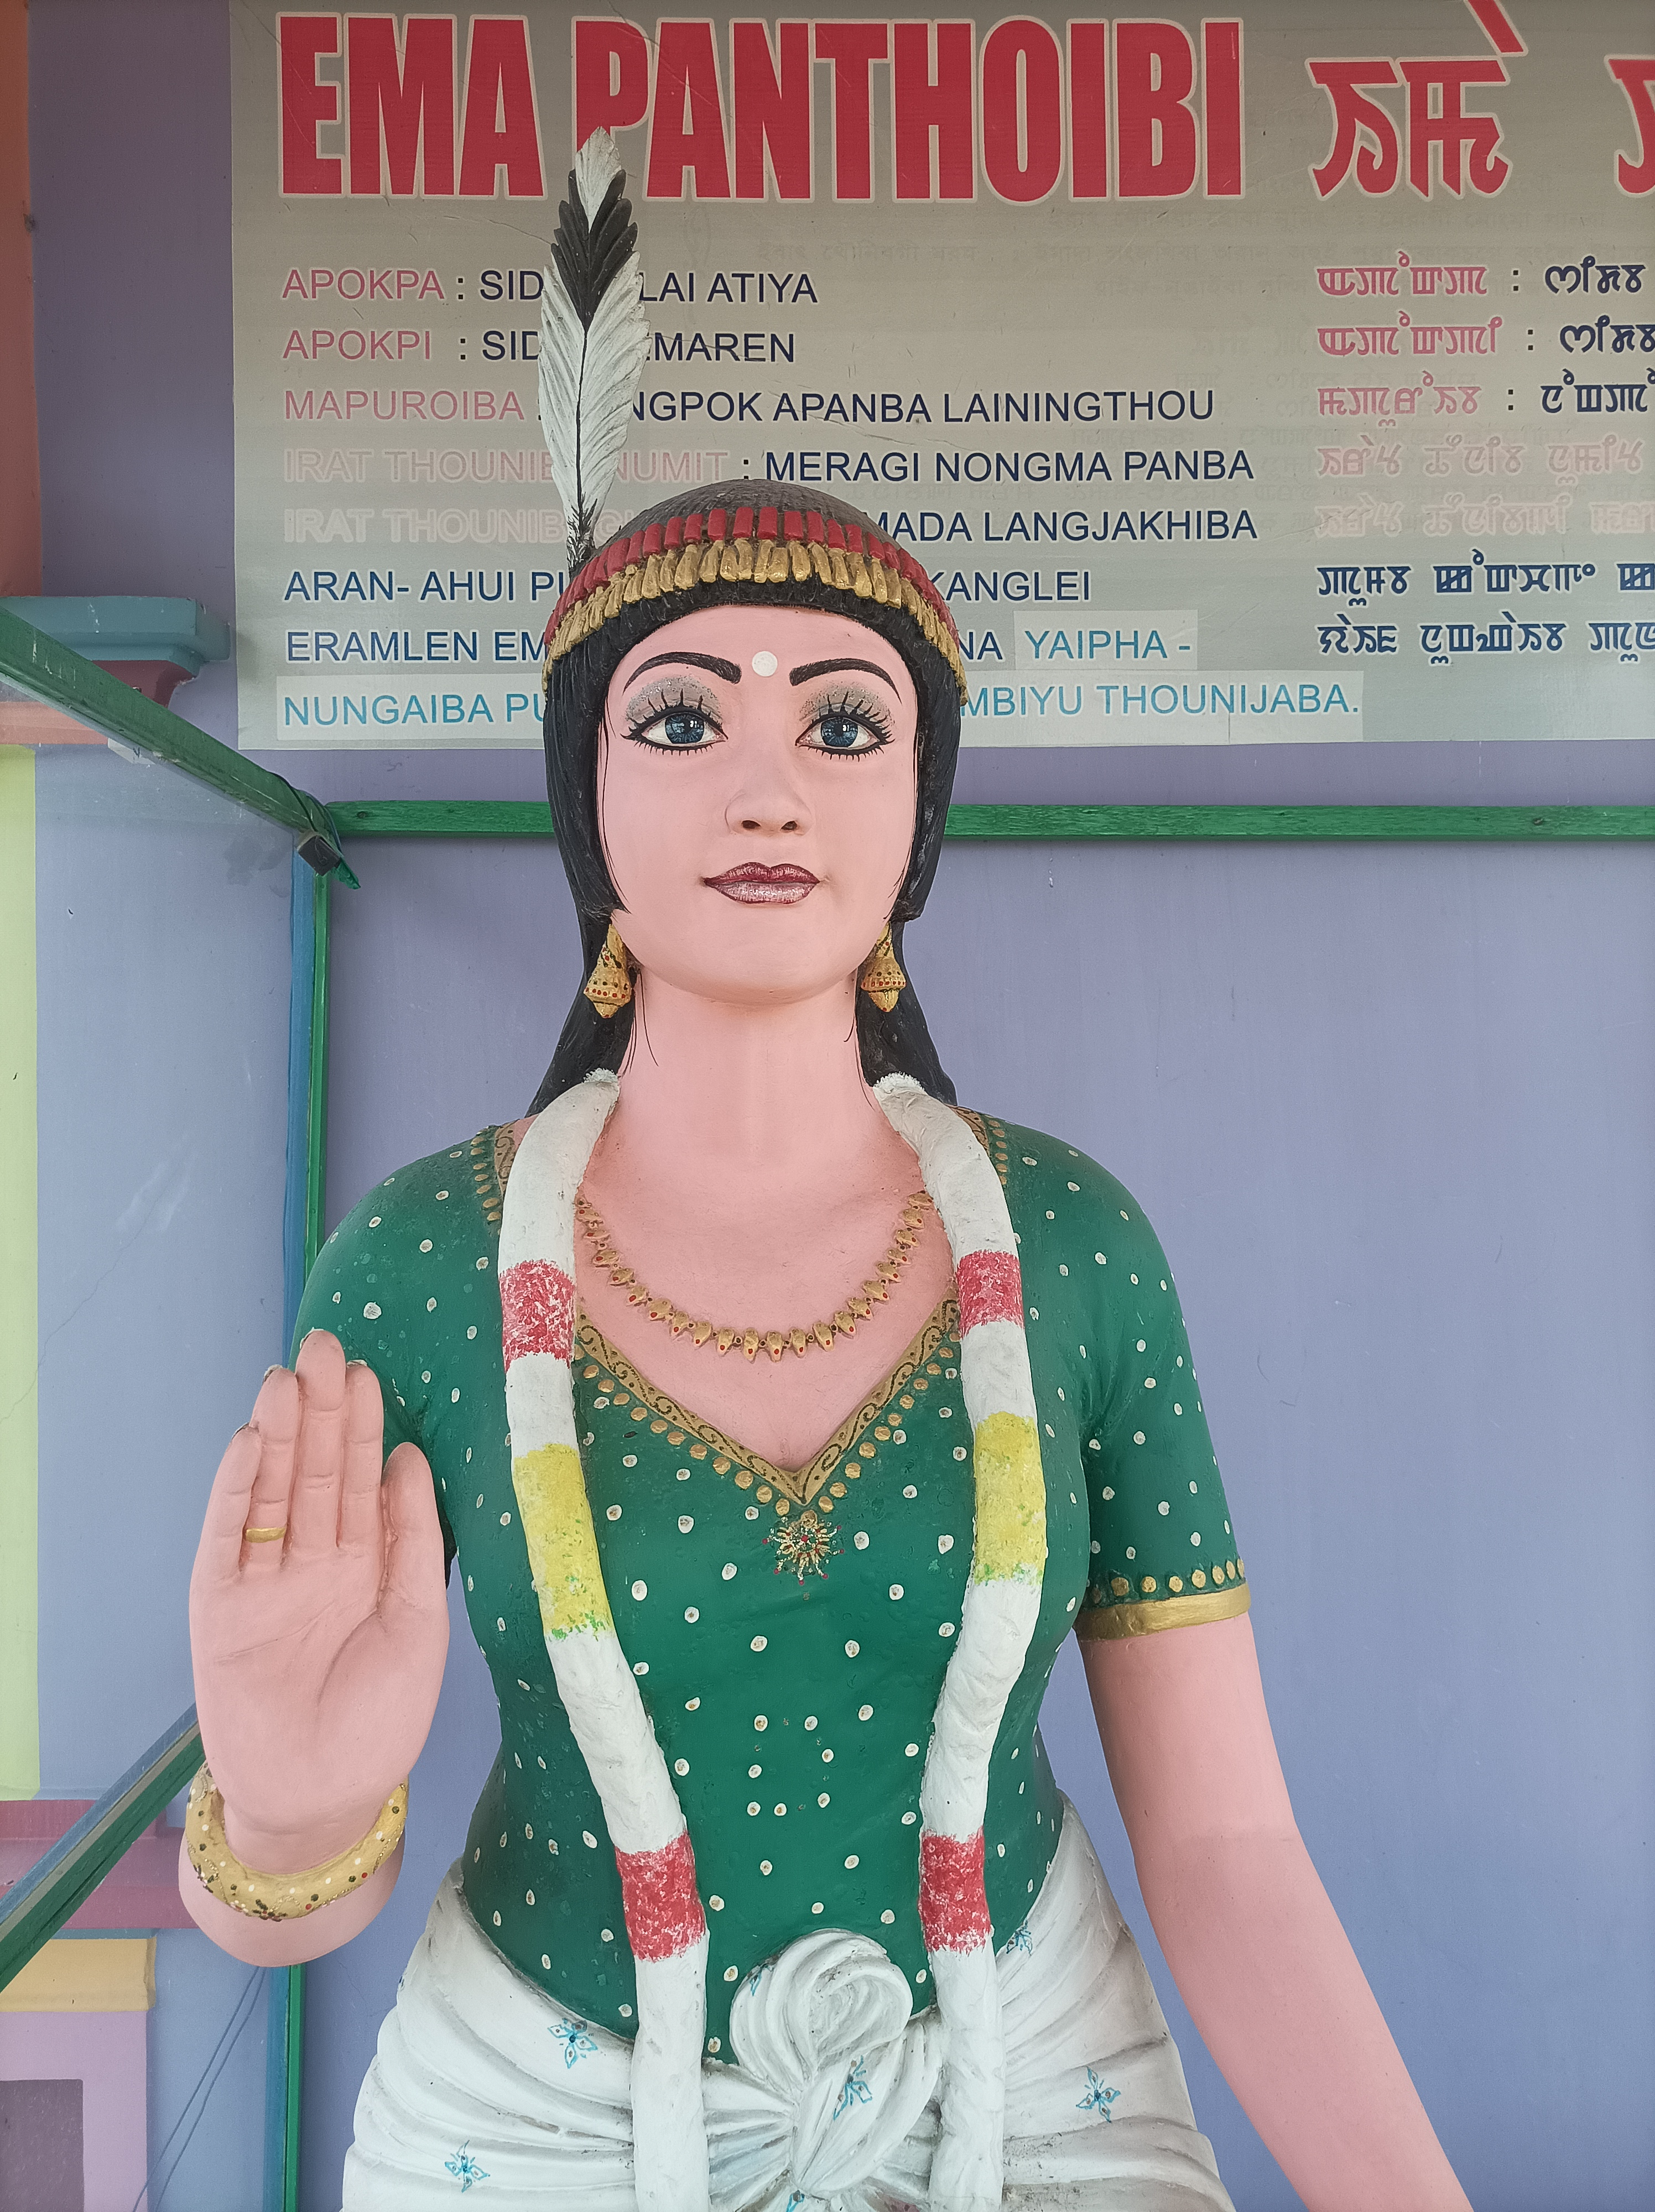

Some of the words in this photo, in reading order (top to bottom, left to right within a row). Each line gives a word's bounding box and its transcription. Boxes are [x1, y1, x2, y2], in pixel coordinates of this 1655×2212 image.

[259, 0, 558, 218] EMA
[565, 11, 1250, 206] PANTHOIBI
[1293, 40, 1524, 210] ꯏꯃ
[274, 265, 450, 301] APOKPA
[472, 261, 547, 305] SID
[637, 265, 697, 306] LAI
[701, 265, 821, 310] ATIYA
[1308, 243, 1495, 301] ꯑꯄꯣꯛꯄ
[1540, 254, 1646, 294] ꯁꯤꯗꯕ
[277, 324, 436, 365] APOKPI
[475, 319, 547, 366] SID
[648, 326, 798, 368] MAREN
[1316, 305, 1507, 359] ꯑꯄꯣꯛꯄꯤ
[1556, 309, 1654, 357] ꯁꯤꯗꯕ
[279, 384, 533, 424] MAPUROIBA
[632, 382, 767, 428] NGPOK
[762, 385, 933, 426] APANBA
[939, 381, 1218, 430] LAININGTHOU
[1313, 366, 1485, 431] ꯃꯄꯨꯔꯣꯏꯕ
[1538, 364, 1653, 421] ꯅꯣꯡꯄ
[281, 442, 376, 488] IRAT
[373, 444, 544, 487] THOUNI
[623, 444, 727, 487] UMIT
[762, 447, 929, 485] MERAGI
[928, 445, 1116, 488] NONGMA
[1123, 444, 1256, 485] PANBA
[1315, 429, 1406, 480] ꯏꯔ ꯥꯠ
[1417, 431, 1527, 480] ꯊꯧꯅꯤꯕ
[1544, 429, 1648, 489] ꯅꯨꯃꯤꯠ
[281, 499, 377, 549] IRAT
[376, 502, 571, 549] THOUNIB
[890, 508, 977, 546] ADA
[981, 502, 1262, 549] LANGJAKHIBA
[1311, 492, 1410, 546] ꯏꯔ ꯥꯠ
[1417, 487, 1580, 540] ꯊꯧꯅꯤꯕꯒꯤ
[276, 566, 398, 607] ARAN
[412, 565, 518, 606] AHUI
[948, 559, 1095, 609] ANGLEI
[1313, 558, 1415, 613] ꯄꯨꯝꯕ
[1431, 544, 1601, 597] ꯀꯣꯛꯆꯒꯦ
[282, 625, 482, 665] ERAMLEN
[1023, 624, 1167, 662] YAIPHA
[1310, 606, 1399, 658] ꯌꯥꯏꯐ
[1417, 603, 1569, 669] ꯅꯨꯡꯉꯥꯏꯕ
[1585, 613, 1654, 665] ꯄꯨꯟ
[278, 691, 498, 731] NUNGAIBA
[990, 681, 1087, 723] BIYU
[1094, 676, 1352, 721] THOUNIJABA